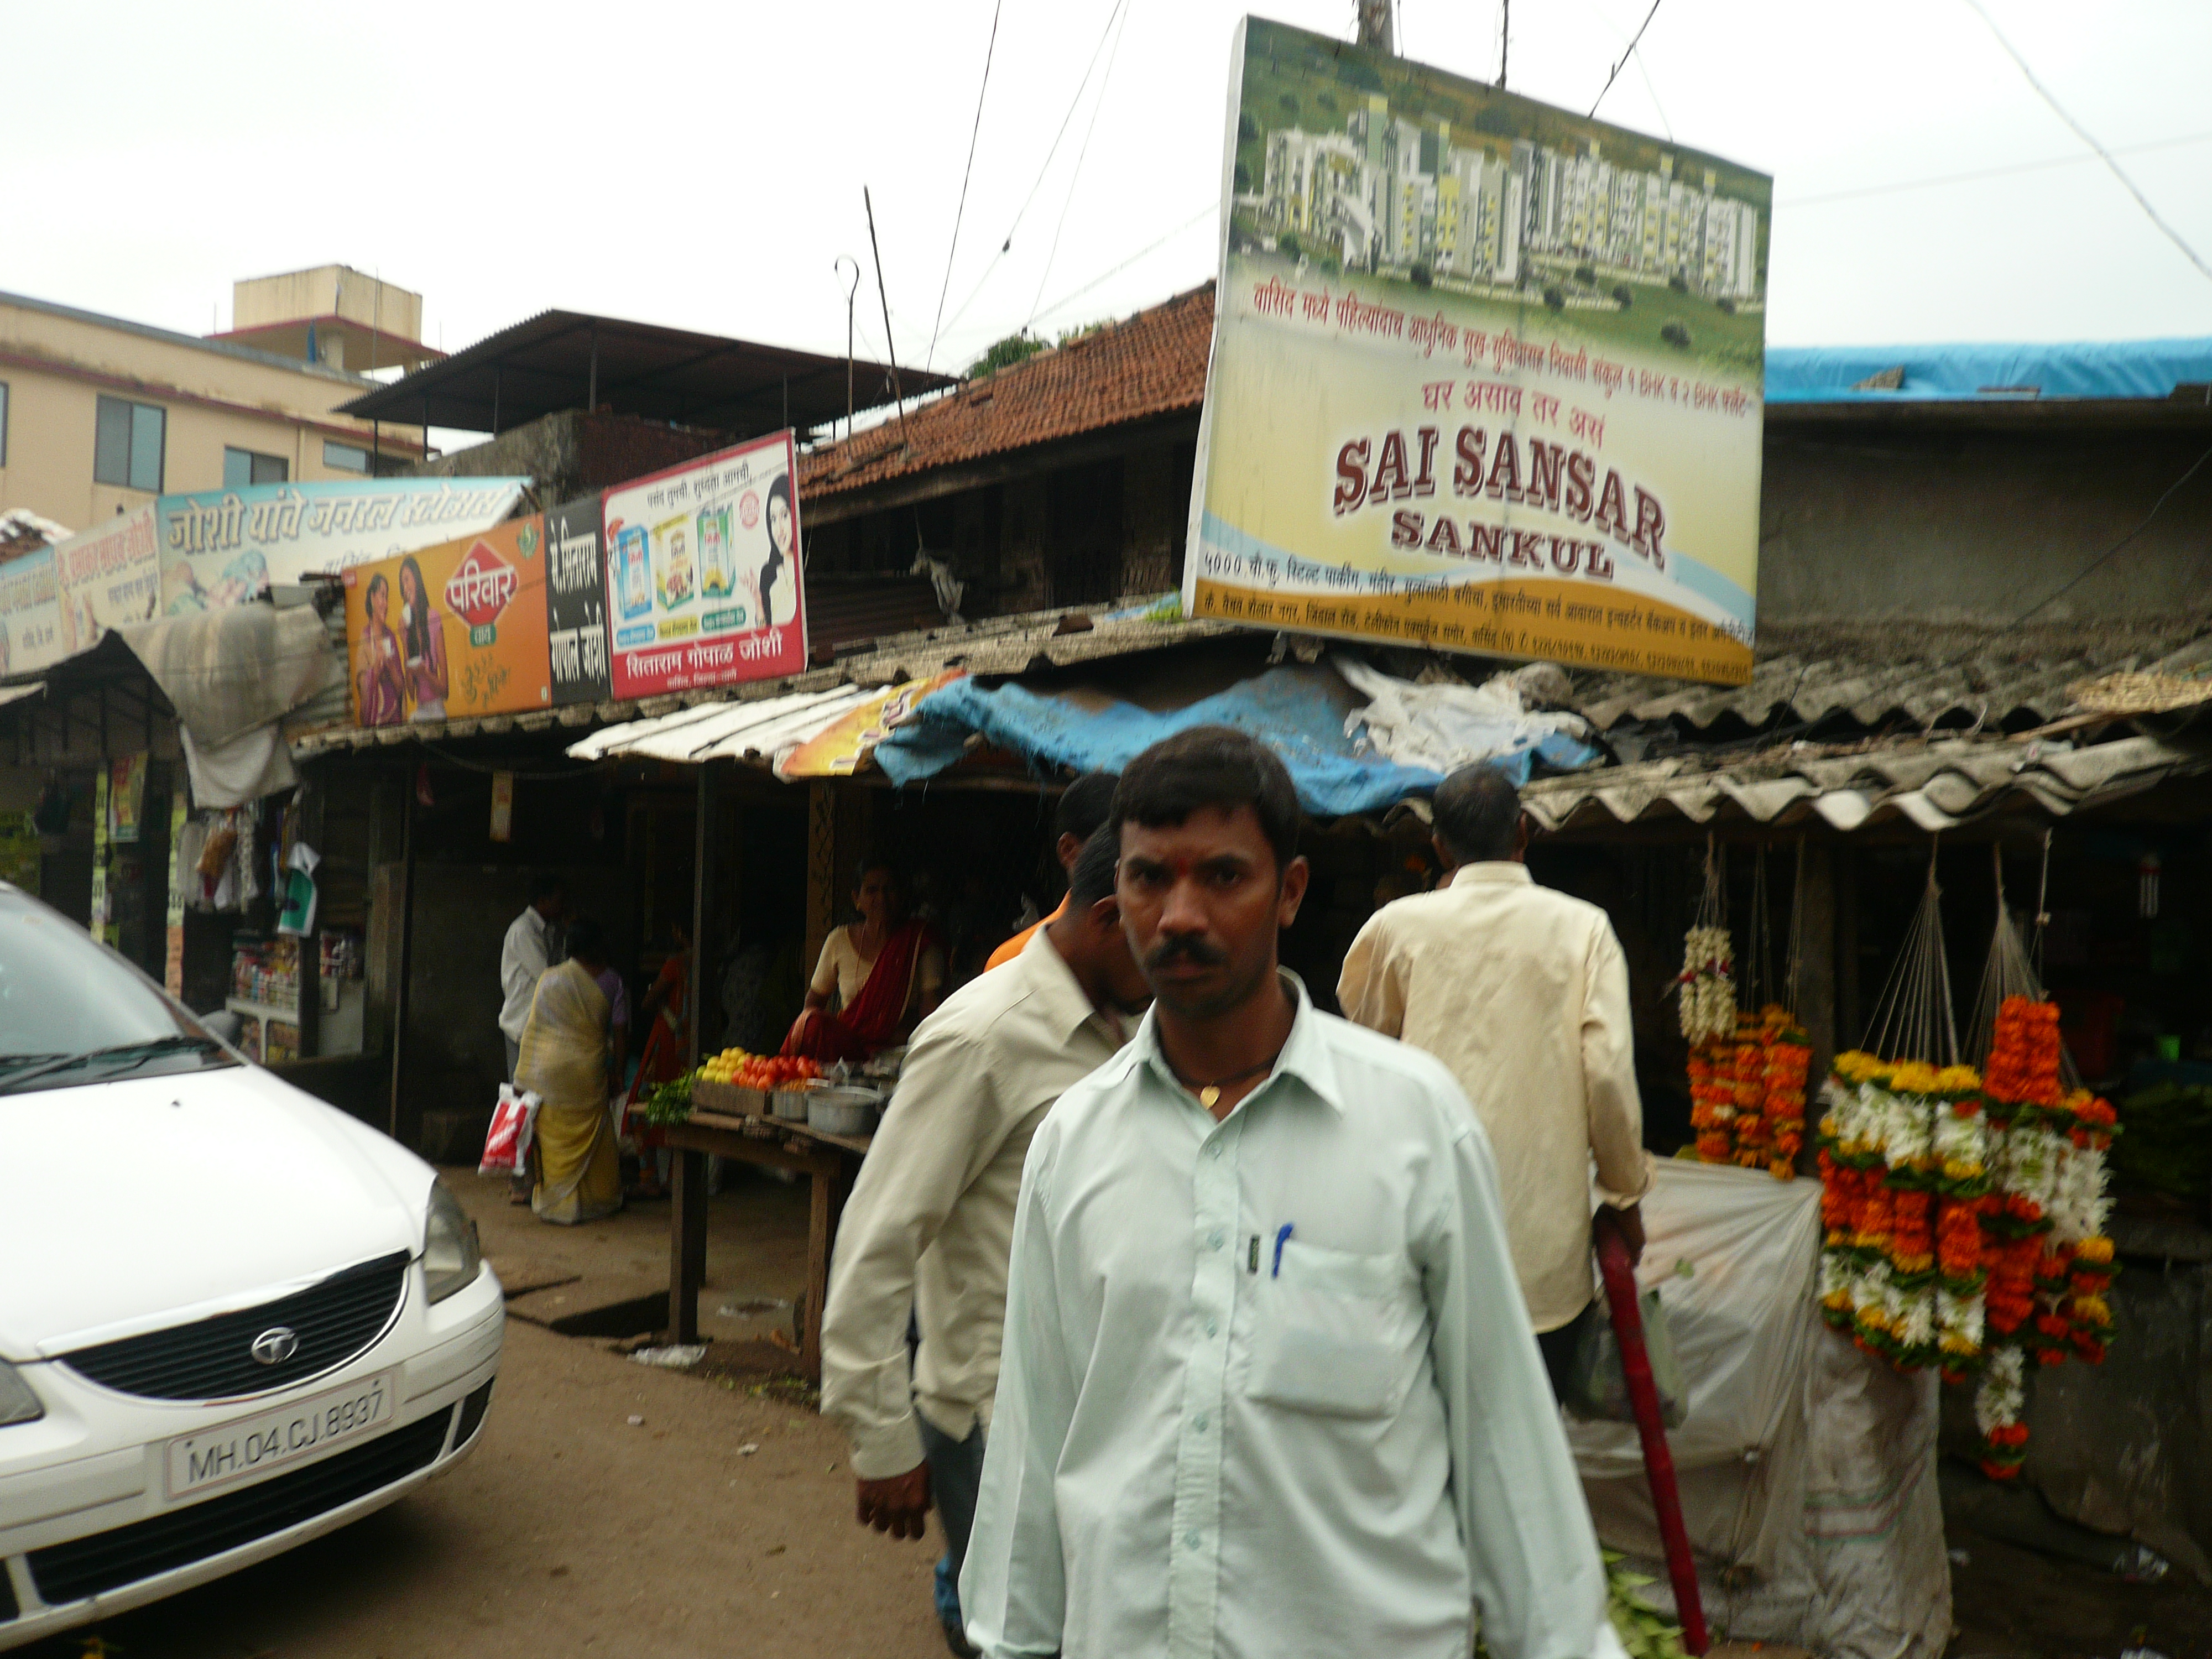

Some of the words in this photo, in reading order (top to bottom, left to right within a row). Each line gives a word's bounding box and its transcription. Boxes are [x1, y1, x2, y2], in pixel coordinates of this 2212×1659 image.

[1246, 269, 1300, 324] वासिंद
[1300, 282, 1334, 328] मध्ये
[1331, 289, 1407, 346] पहिल्यांवाच
[1404, 307, 1463, 362] आधुनिक
[1411, 370, 1460, 416] घर
[1459, 369, 1529, 422] असाव
[1459, 320, 1548, 383] सुख-सुविधाराह
[1527, 383, 1568, 432] तर
[1545, 335, 1592, 390] नि‍वासी
[1564, 397, 1612, 457] असं
[1589, 351, 1628, 404] संकुल
[1637, 367, 1671, 408] BHK
[1667, 371, 1684, 411] व
[1679, 375, 1693, 413] 2
[1693, 379, 1722, 420] BHK
[1317, 415, 1449, 524] SAI
[162, 488, 248, 560] जोशी
[246, 483, 311, 547] यांचे
[305, 491, 409, 543] जनरल
[1379, 503, 1625, 588] SANKUL
[1448, 418, 1676, 579] SANSAR
[444, 556, 518, 614] परिवार
[622, 644, 686, 683] सिताराम
[684, 637, 737, 671] गोपाळ
[735, 622, 788, 662] जोशी
[178, 1383, 393, 1491] MH.04.CJ.8937